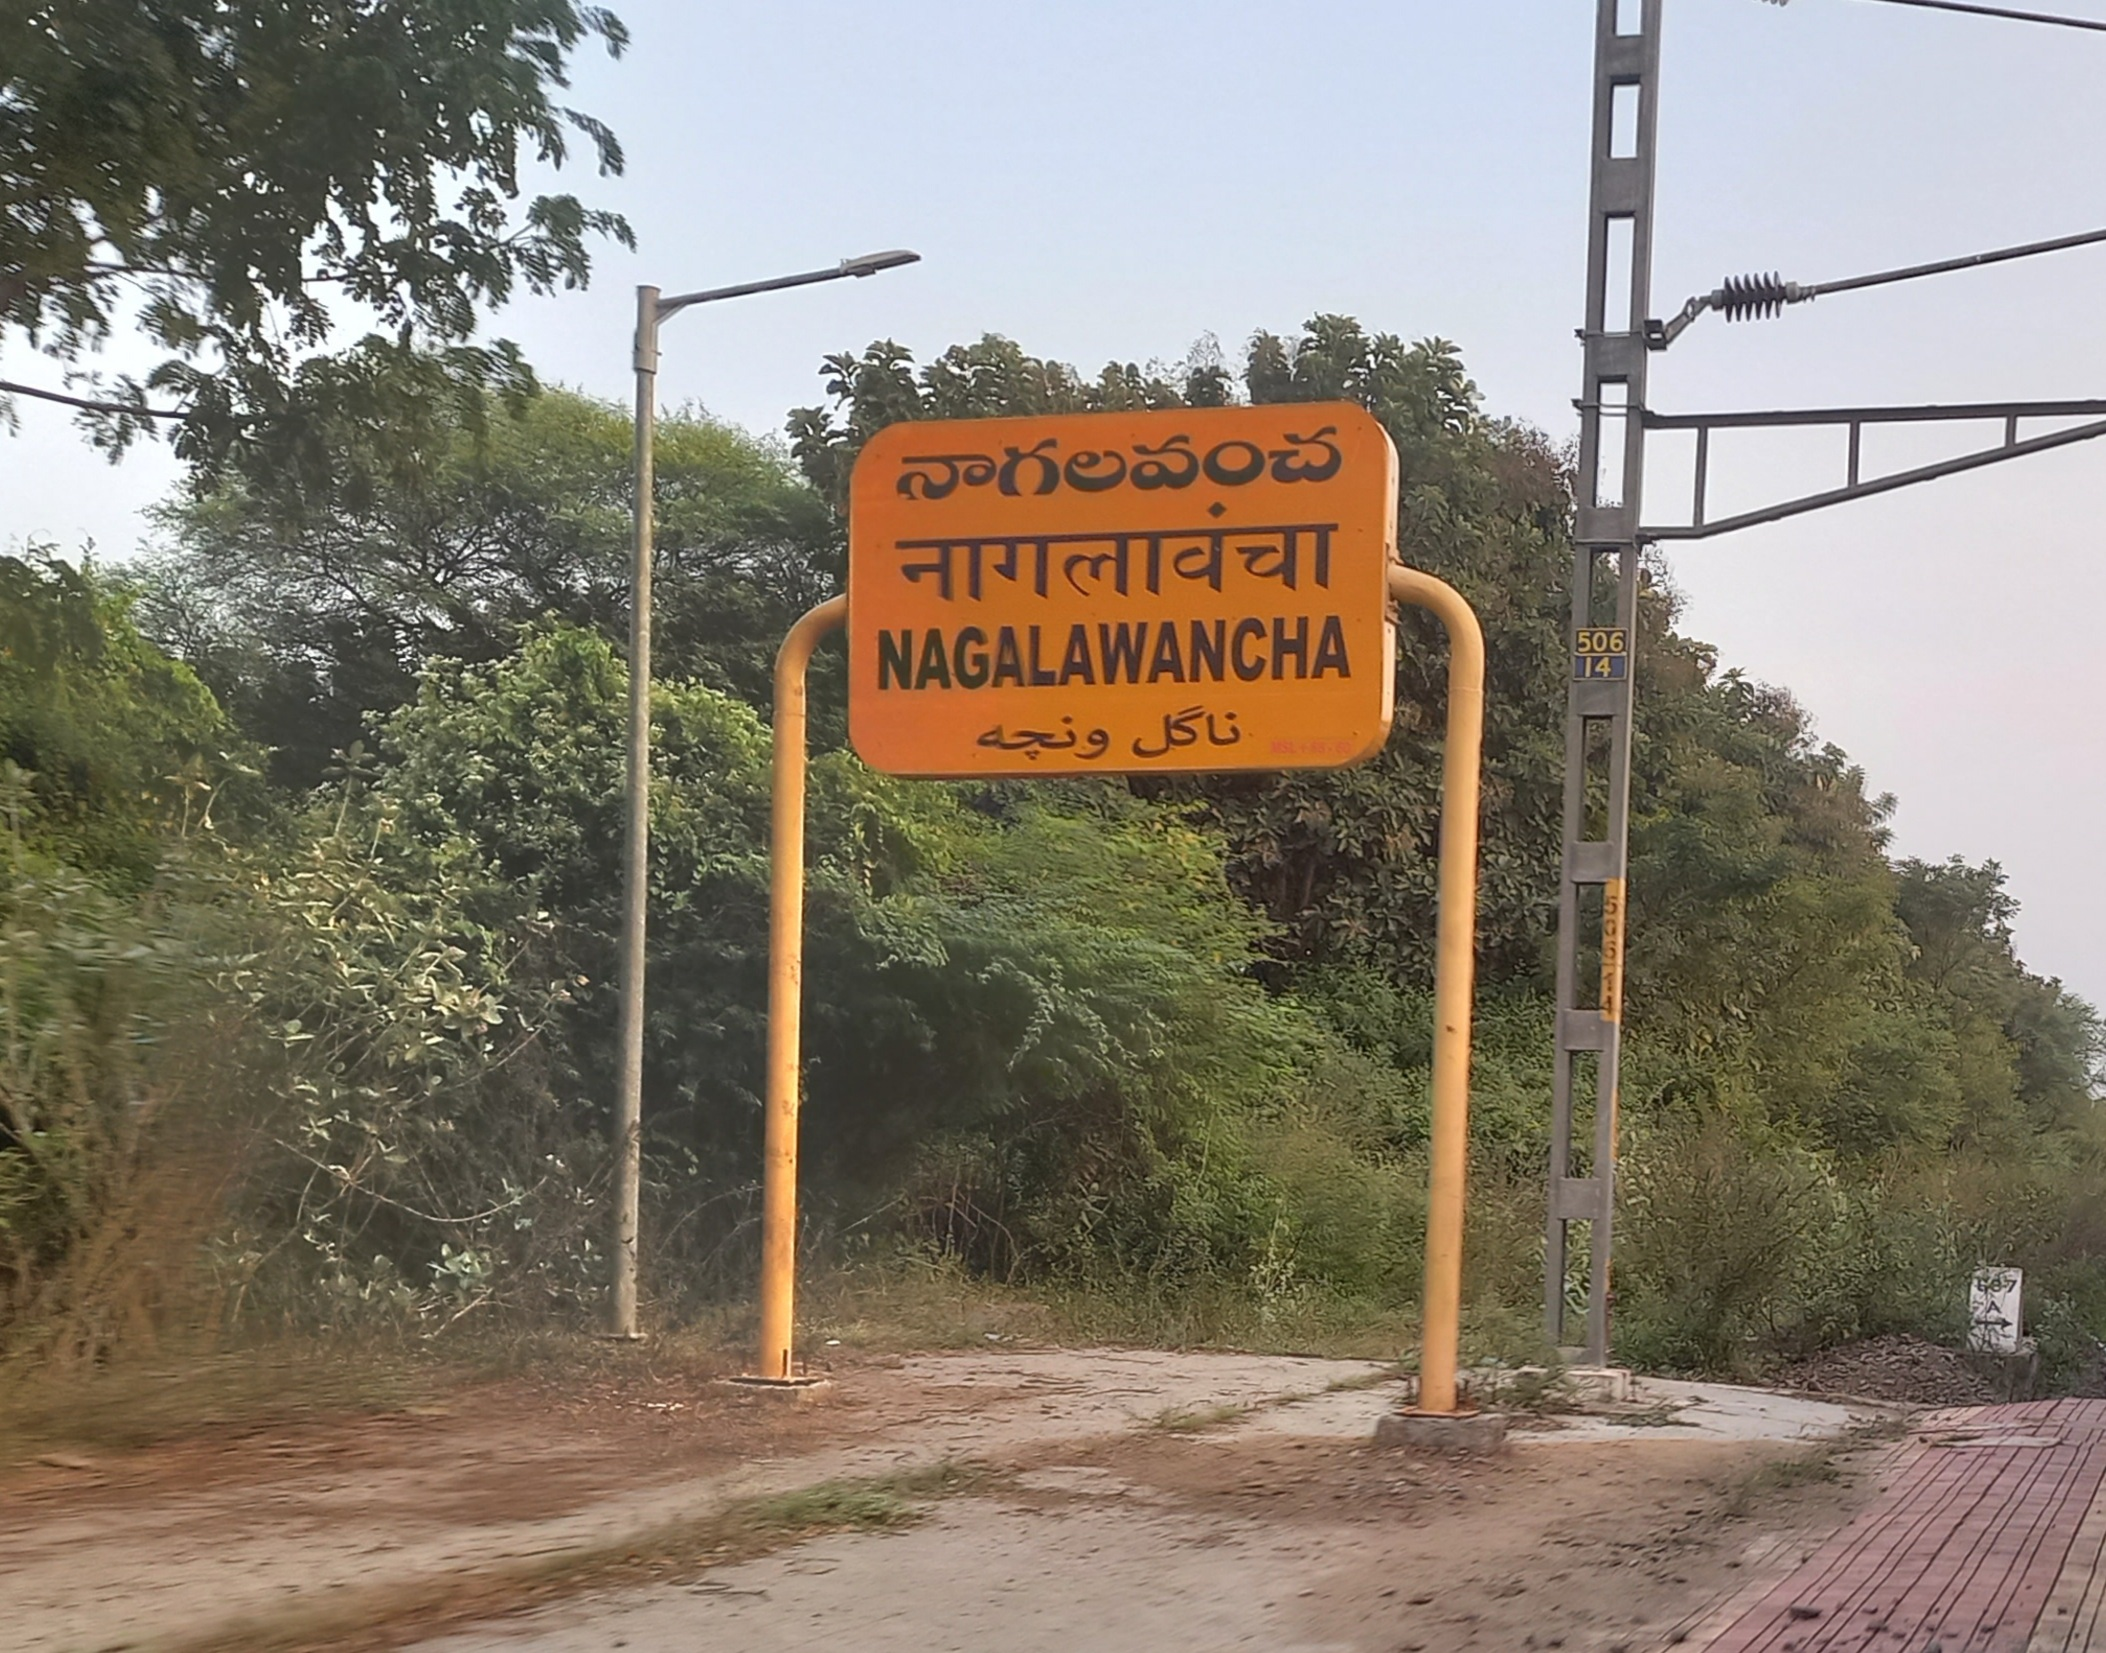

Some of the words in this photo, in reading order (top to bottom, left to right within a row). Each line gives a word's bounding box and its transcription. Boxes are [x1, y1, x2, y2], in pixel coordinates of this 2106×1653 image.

[888, 413, 1346, 506] నాగలవంచ
[892, 490, 1351, 617] नागलावंचा
[868, 610, 1361, 694] NAGALAWANCHA
[969, 699, 1119, 775] ونچه
[1118, 689, 1247, 772] ناگل